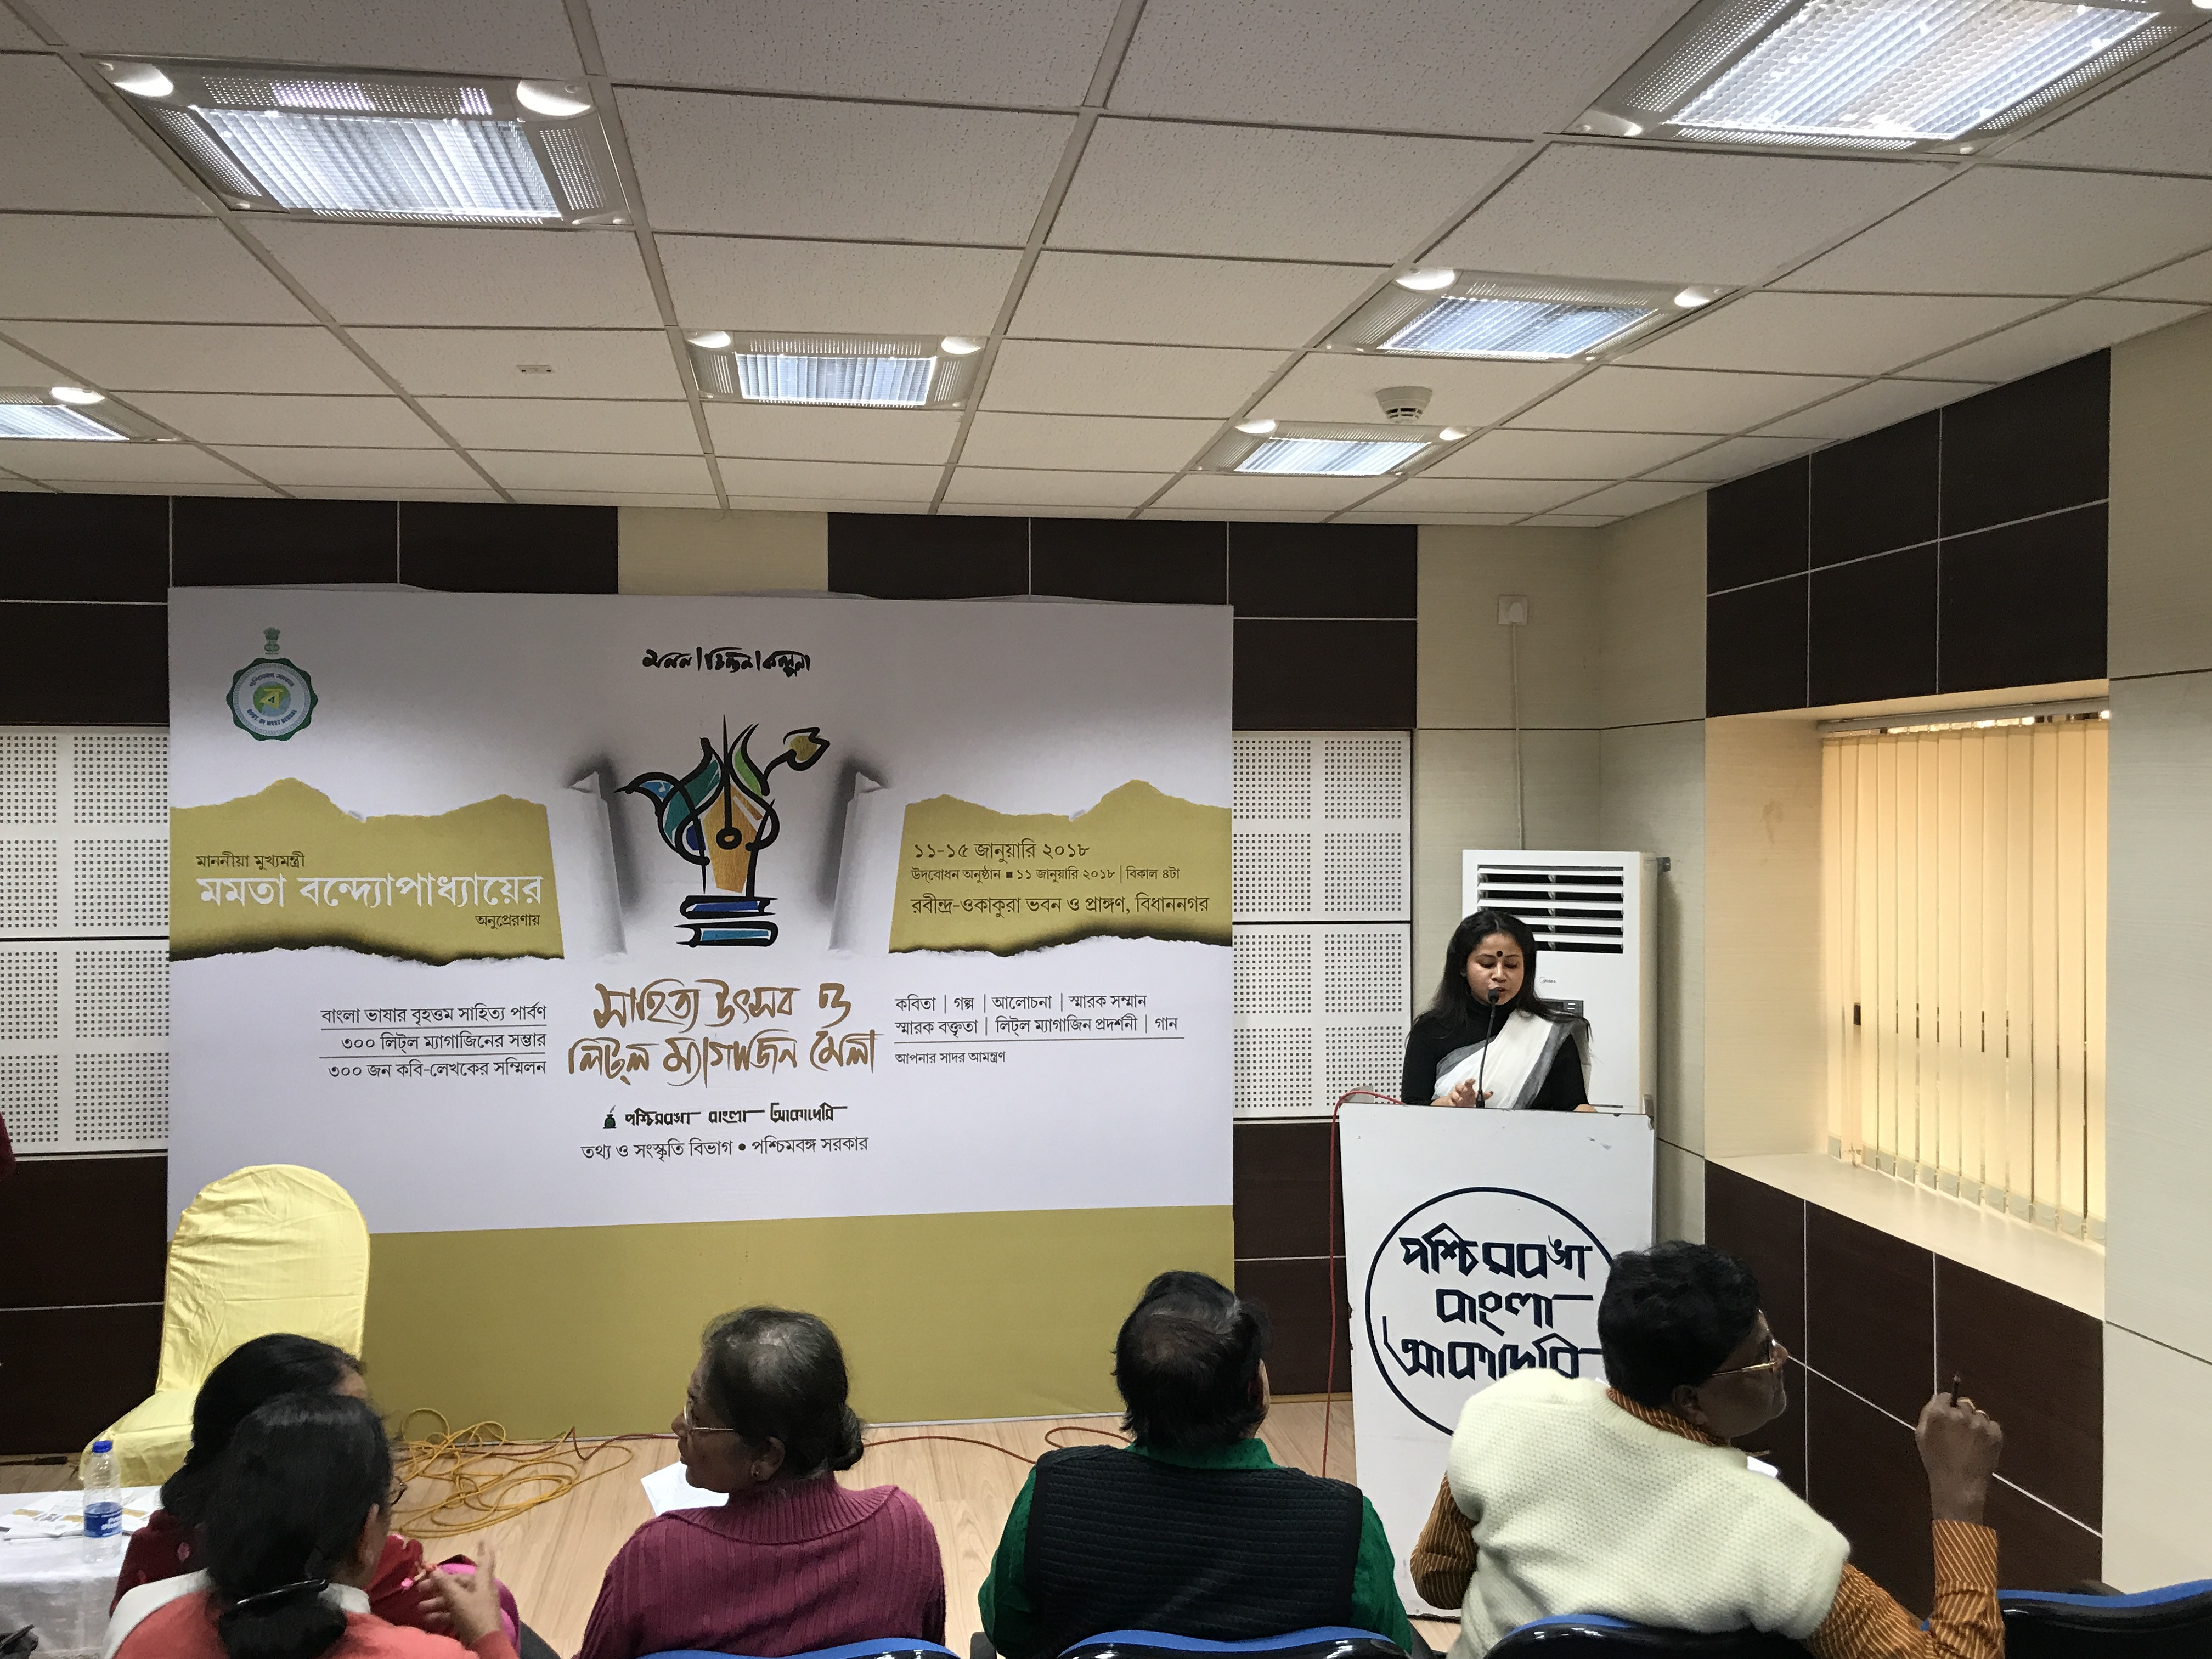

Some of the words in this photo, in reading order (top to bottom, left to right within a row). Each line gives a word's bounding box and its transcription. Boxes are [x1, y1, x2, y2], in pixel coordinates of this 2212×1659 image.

[634, 640, 815, 679] মনন।চিন্তন।কল্পনা
[193, 842, 252, 871] মাননীয়া
[253, 847, 307, 877] মুখ্যমন্ত্রী
[905, 864, 961, 886] উদ্বোধন
[961, 861, 1002, 886] অনুষ্ঠান
[970, 831, 1040, 865] জানুয়ারি
[1035, 862, 1081, 884] জানুয়ারি
[1041, 837, 1092, 861] ২০১৮
[1081, 863, 1119, 883] ২০১৮
[1121, 860, 1161, 882] বিকাল
[1161, 864, 1182, 884] ৪টা
[194, 872, 290, 912] মমতা
[295, 872, 545, 910] বন্দ্যোপাধ্যায়ের
[905, 888, 955, 917] রবীন্দ্র
[958, 894, 1023, 921] ওকাকুরা
[1023, 894, 1065, 913] ভবন
[1063, 893, 1085, 916] ও
[1084, 891, 1130, 915] প্রাঙ্গণ,
[1131, 885, 1212, 913] বিধাননগর
[471, 911, 542, 934] অনুপ্রেরণায়
[316, 1002, 362, 1029] বাংলা
[324, 1063, 366, 1084] ৩০০
[337, 1032, 379, 1053] ৩০০
[365, 1057, 393, 1082] জন
[360, 1004, 408, 1028] ভাষার
[376, 1026, 424, 1057] লিট্ল
[393, 1055, 426, 1080] কবি
[409, 1001, 459, 1032] বৃহত্তম
[424, 1058, 492, 1079] লেখকের
[421, 1026, 507, 1054] ম্যাগাজিনের
[458, 1000, 507, 1024] সাহিত্য
[493, 1054, 548, 1079] সম্মিলন
[506, 1029, 547, 1049] সম্ভার
[507, 998, 549, 1024] পার্বণ
[562, 1034, 661, 1091] লিট্ল
[587, 968, 710, 1039] সাহিত্য
[657, 1022, 802, 1094] ম্যাগাজিন
[694, 975, 799, 1034] উৎসব
[814, 974, 856, 1036] ও
[803, 1019, 881, 1075] মেলা
[894, 990, 936, 1017] কবিতা
[892, 1017, 938, 1037] স্মারক
[891, 1051, 939, 1068] আপনার
[935, 1049, 968, 1064] সাদর
[935, 1018, 981, 1041] বক্তৃতা
[947, 992, 977, 1014] গল্প
[964, 1049, 1007, 1064] আমন্ত্রণ
[989, 1010, 1033, 1039] লিট্ল
[986, 988, 1055, 1019] আলোচনা
[1033, 1010, 1094, 1035] ম্যাগাজিন
[1064, 993, 1108, 1011] স্মারক
[1093, 1008, 1139, 1032] প্রদর্শনী
[1107, 987, 1149, 1011] সম্মান
[1150, 1012, 1180, 1037] গান
[618, 1102, 696, 1134] পশ্চিরবসা
[698, 1098, 756, 1132] বাংলা
[760, 1096, 845, 1129] আকাদেরি
[575, 1138, 613, 1164] তথ্য
[613, 1140, 631, 1161] ও
[633, 1133, 687, 1166] সংস্কৃতি
[687, 1132, 742, 1163] বিভাগ
[750, 1131, 818, 1157] পশ্চিমবঙ্গ
[814, 1132, 872, 1154] সরকার
[1398, 1220, 1592, 1280] পশ্চিরবসা
[1430, 1283, 1597, 1338] বাংলা
[1400, 1324, 1604, 1387] আকাদেরি